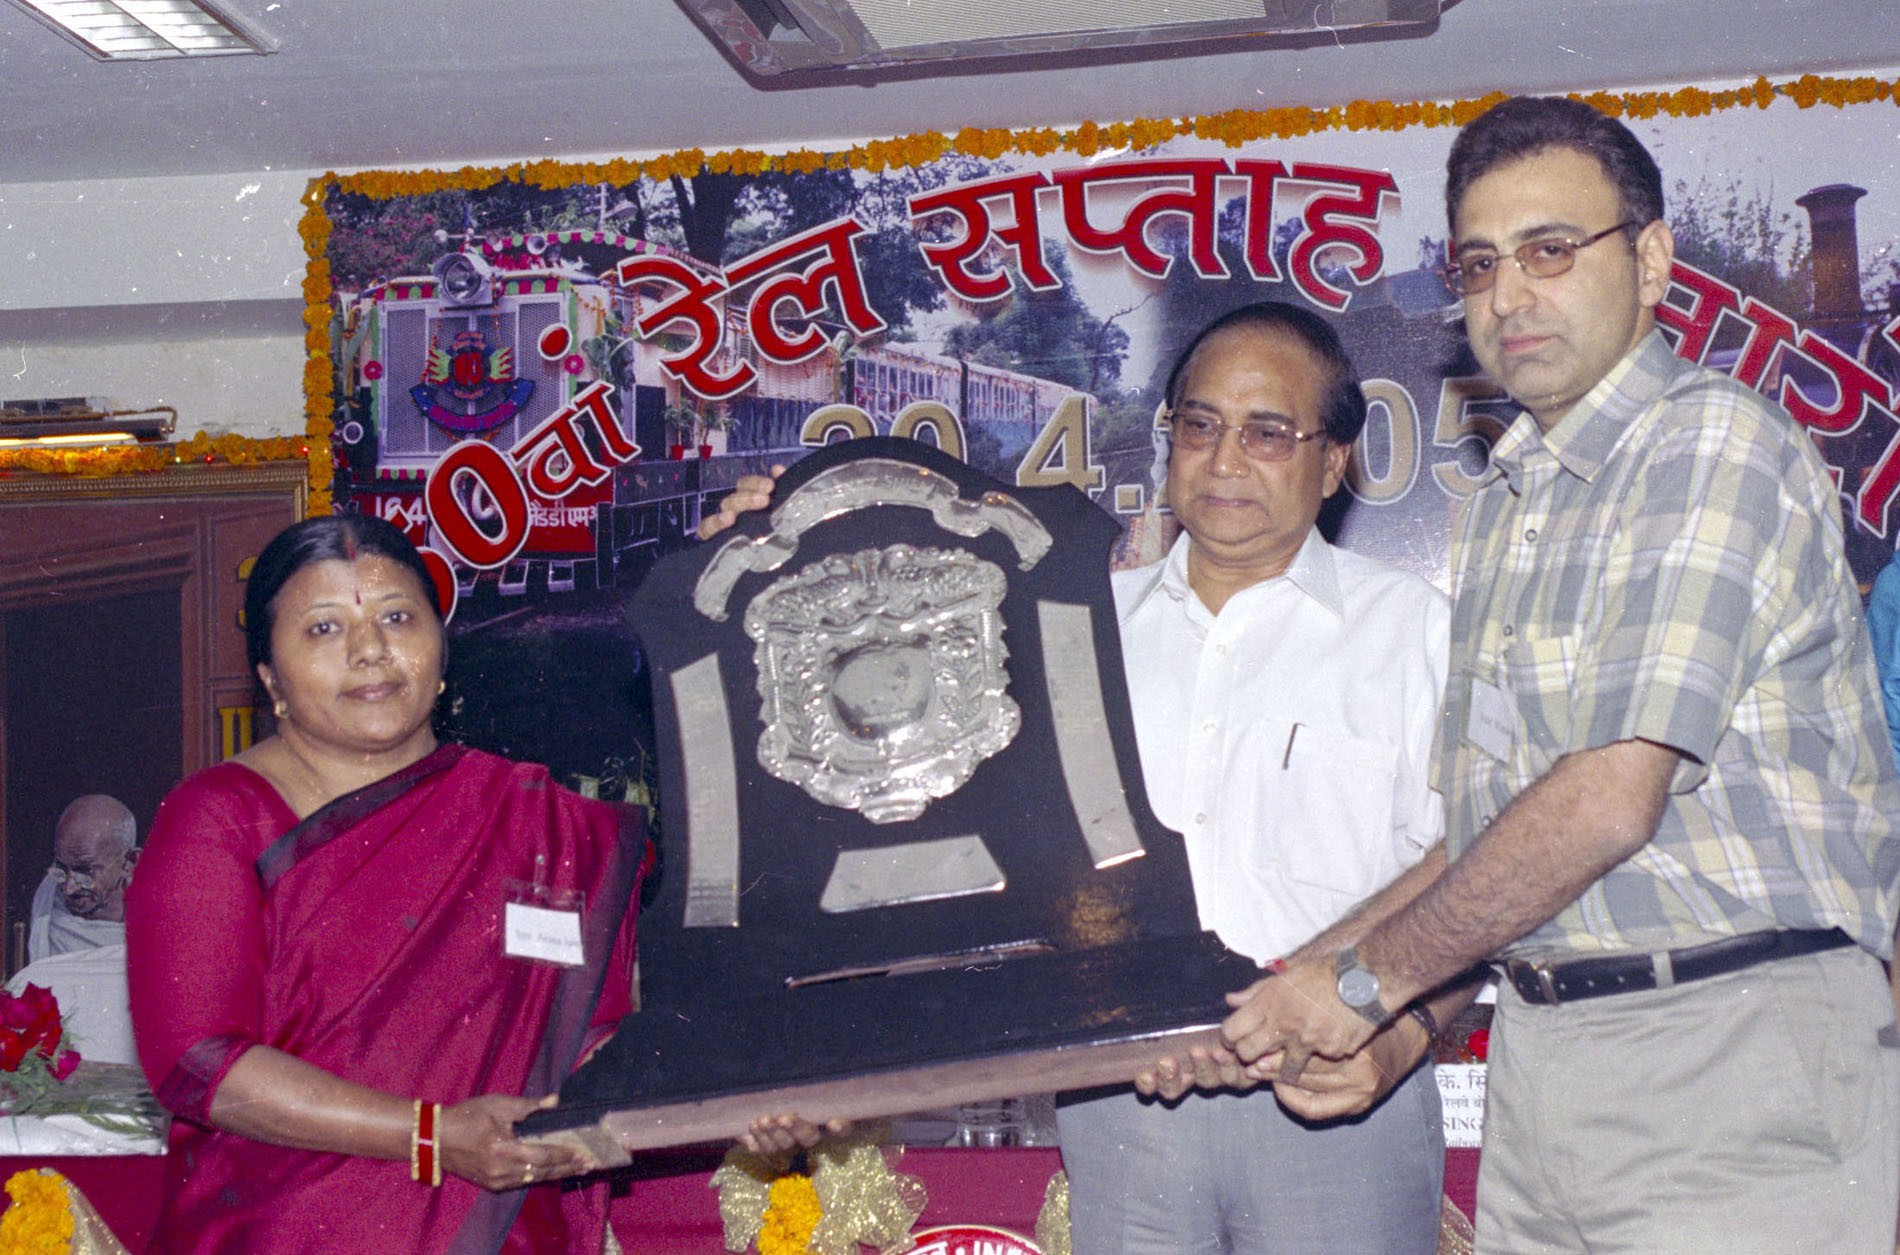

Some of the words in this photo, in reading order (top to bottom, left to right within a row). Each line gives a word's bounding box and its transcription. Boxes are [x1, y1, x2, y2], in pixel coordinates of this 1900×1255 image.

[611, 213, 899, 411] रेल
[908, 155, 1401, 319] सप्ताह
[421, 376, 642, 576] 0 वा